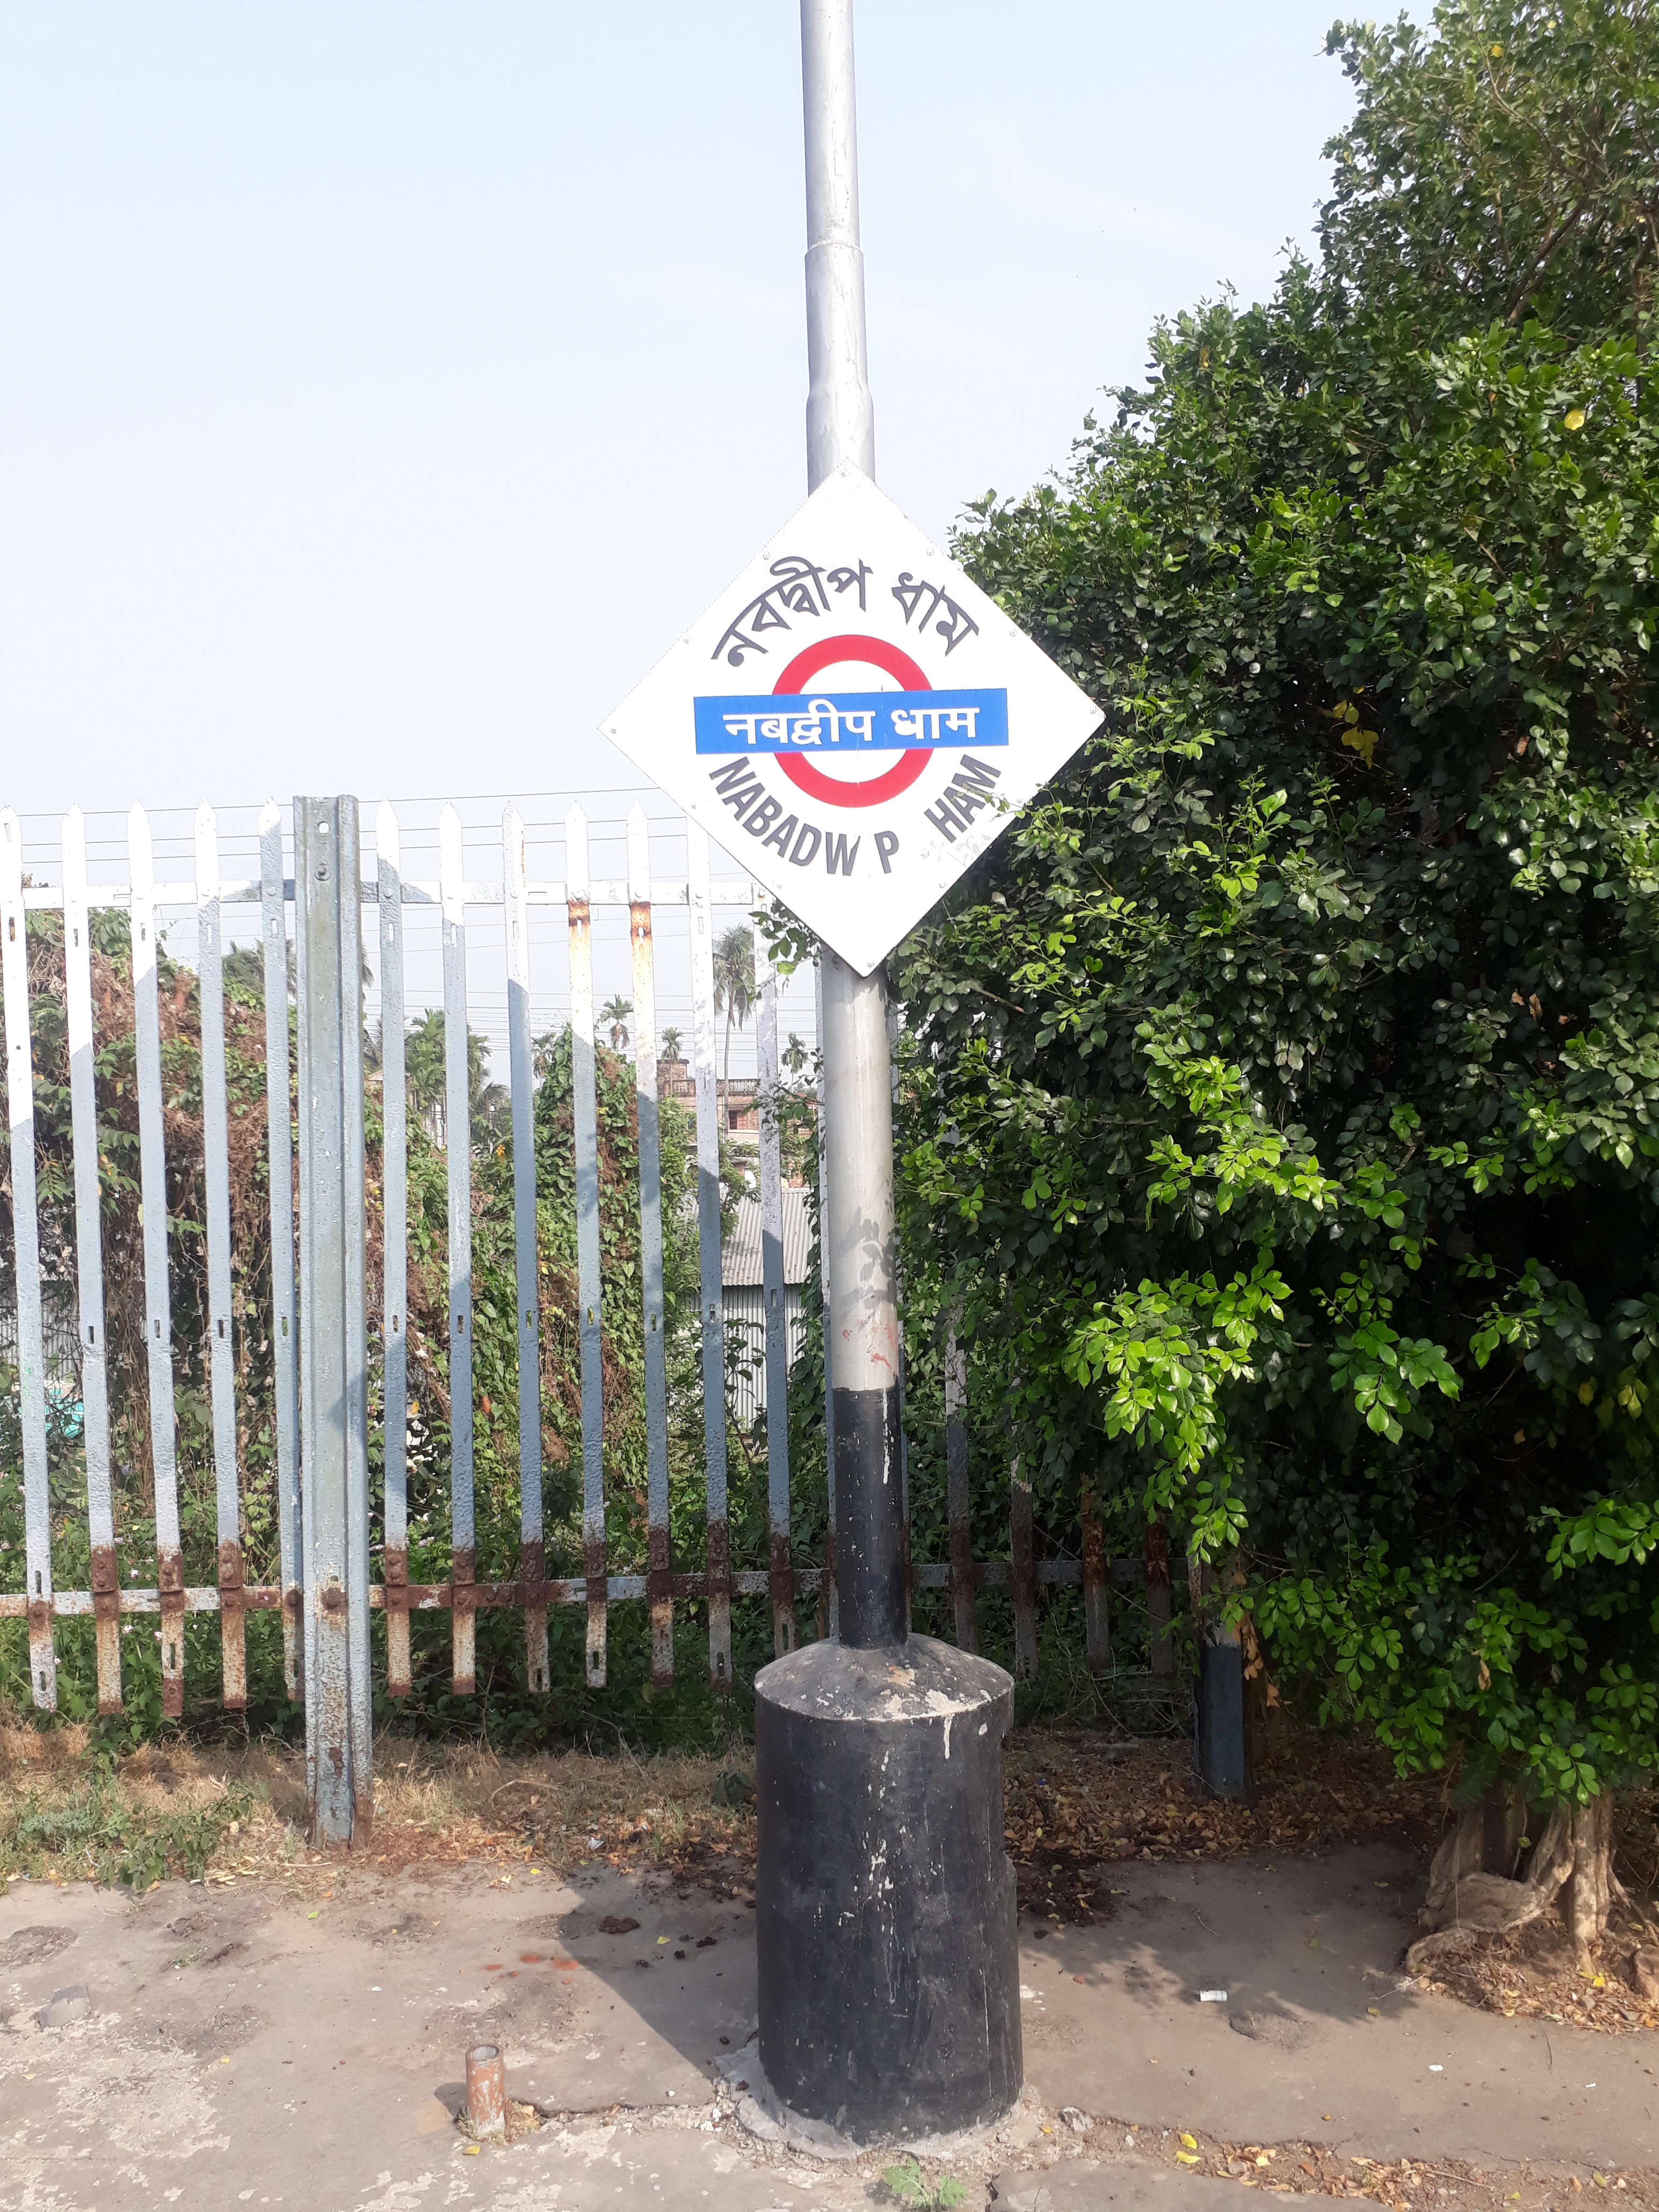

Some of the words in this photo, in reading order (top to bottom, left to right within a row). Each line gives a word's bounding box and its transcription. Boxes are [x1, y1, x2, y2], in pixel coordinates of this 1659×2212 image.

[704, 547, 876, 677] নবদ্বীপ
[880, 563, 988, 659] ধাম
[721, 693, 881, 757] नबद्वीप
[881, 700, 984, 751] धाम
[697, 751, 902, 881] NABADWP
[918, 745, 1010, 852] HAM